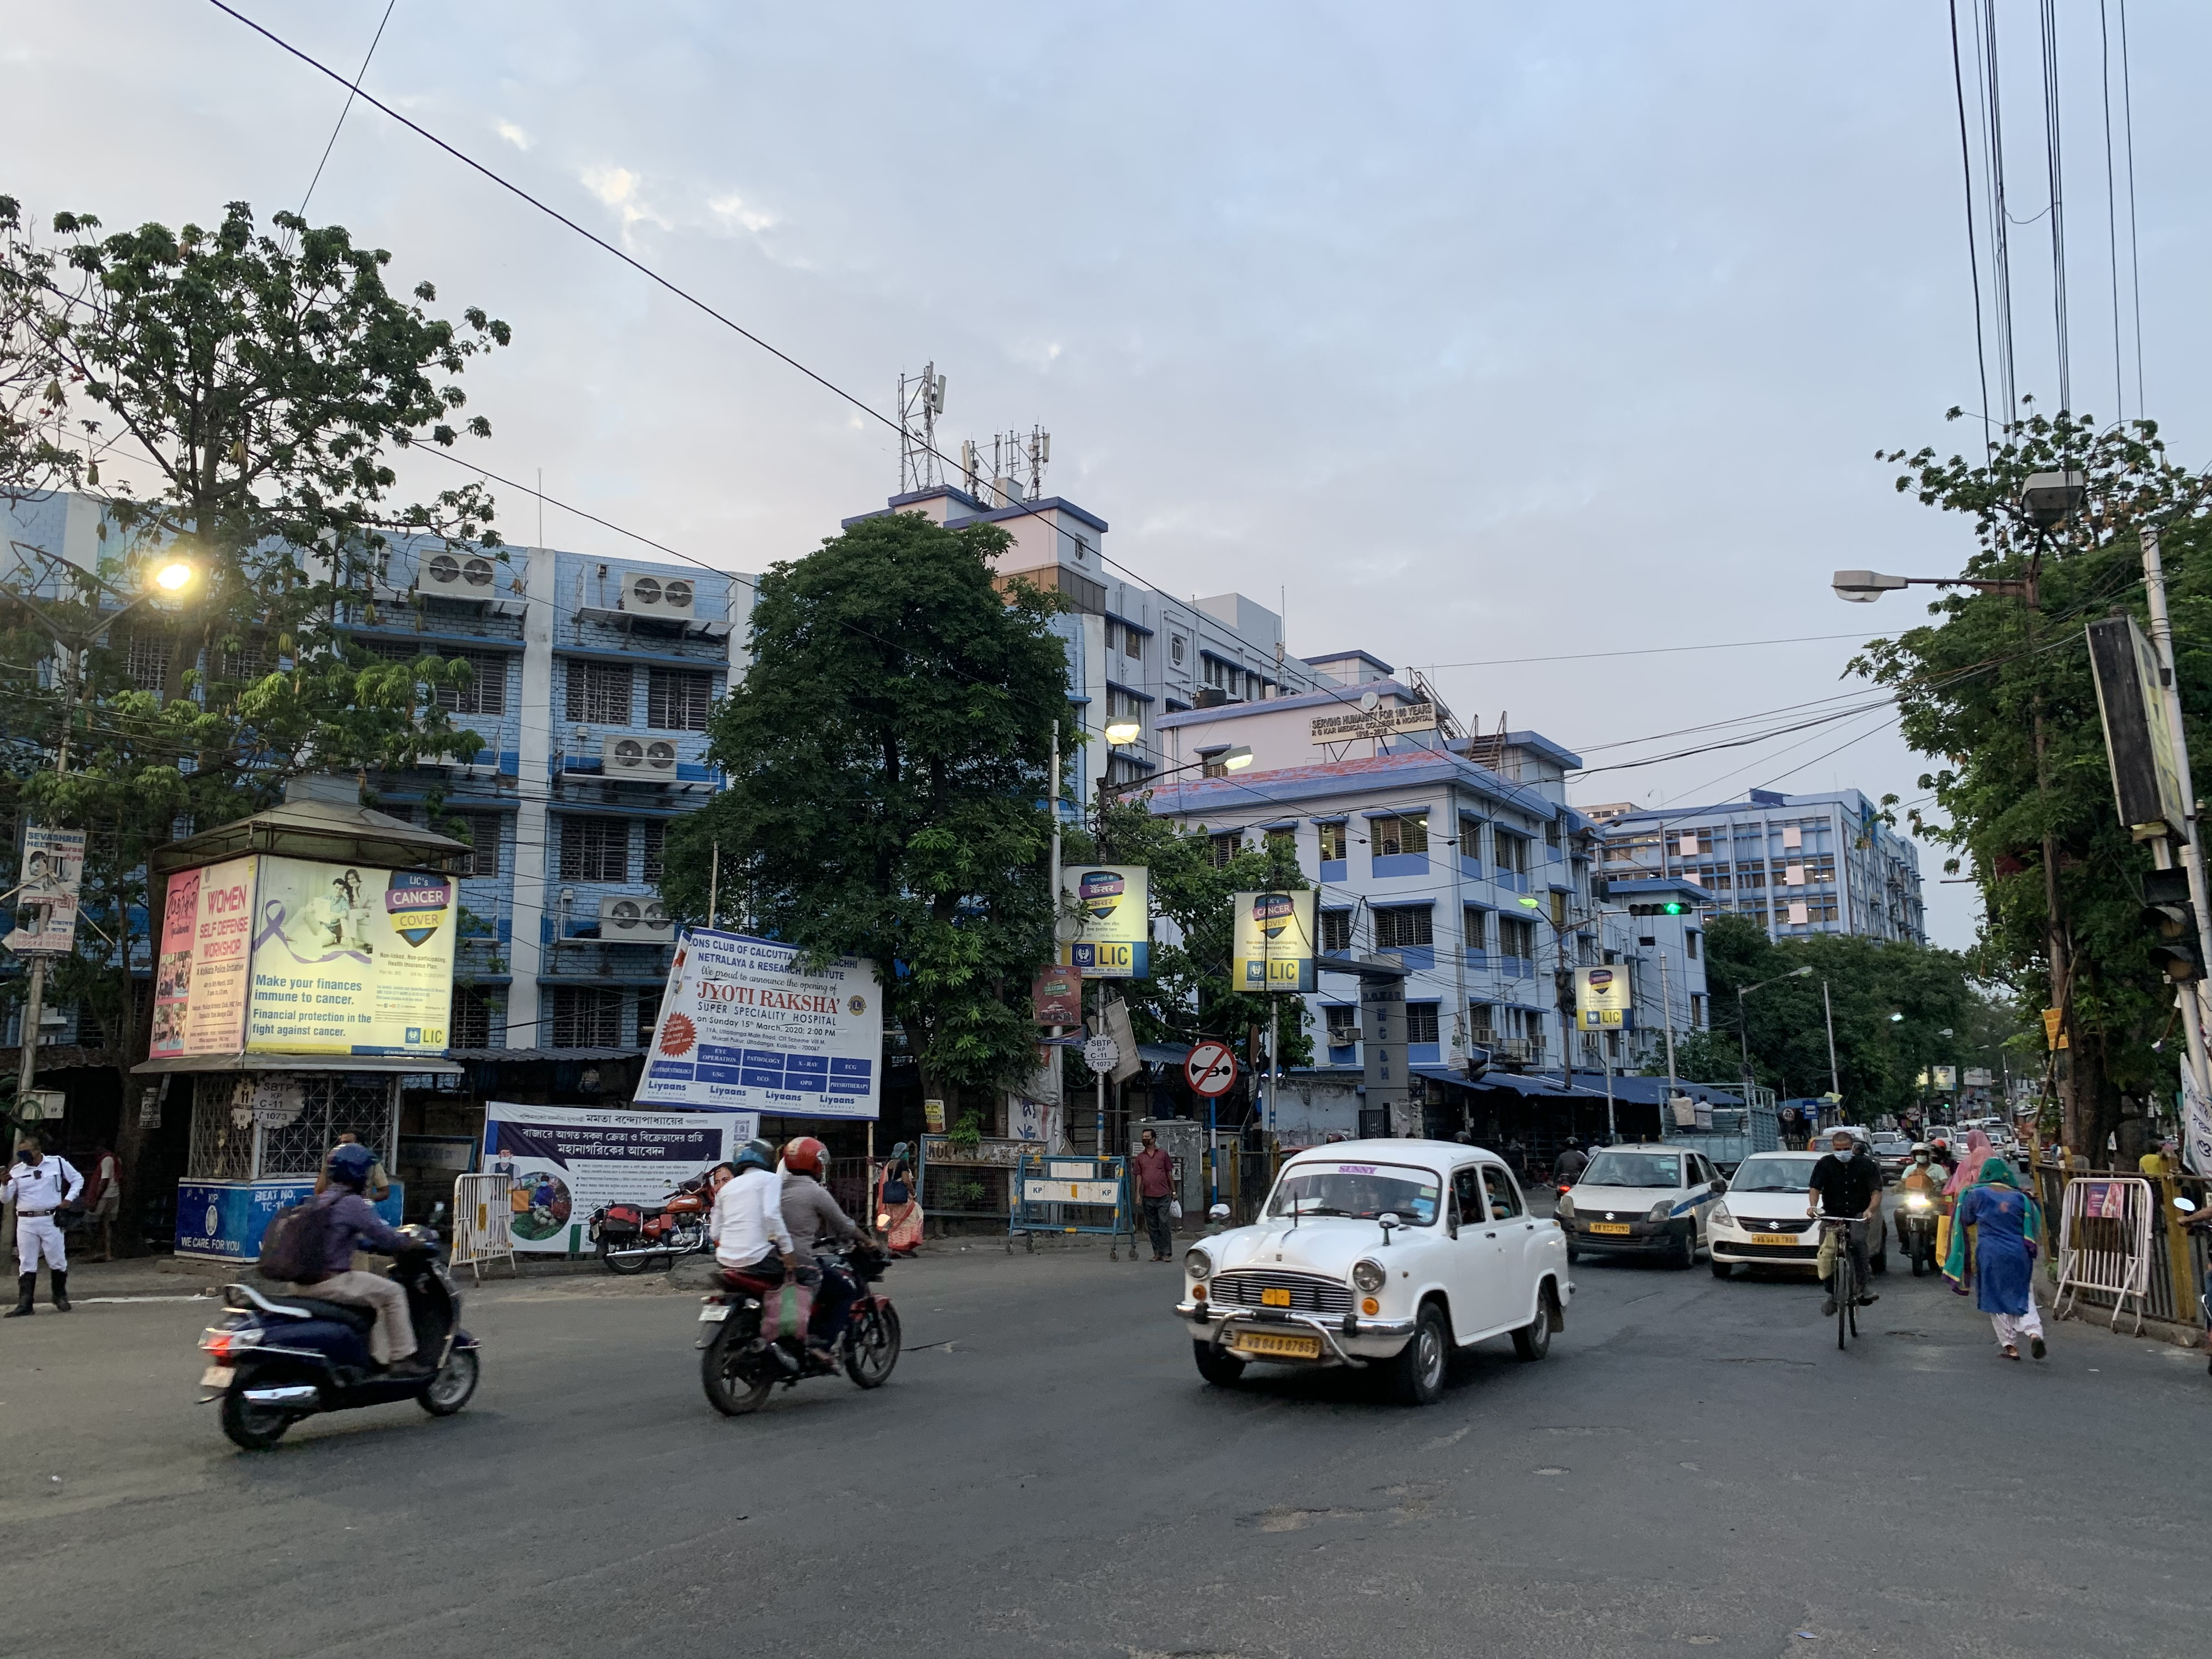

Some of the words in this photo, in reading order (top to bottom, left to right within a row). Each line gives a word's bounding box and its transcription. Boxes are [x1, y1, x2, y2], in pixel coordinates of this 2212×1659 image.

[1312, 724, 1338, 739] R G KAR
[1307, 711, 1345, 733] SERVING
[1335, 720, 1367, 737] MEDICAL
[1341, 708, 1380, 726] HUMANITY
[1364, 716, 1396, 730] COLLEGE
[1378, 706, 1396, 722] FOR
[1392, 703, 1410, 719] 100
[1401, 713, 1436, 726] HOSPITAL
[1407, 700, 1436, 718] YEARS
[23, 828, 85, 845] SEVASHREE
[408, 873, 432, 890] LIC
[1085, 878, 1116, 898] कैंसर
[196, 918, 218, 941] SELF
[203, 883, 251, 918] WOMEN
[216, 915, 252, 938] DEFENSE
[390, 886, 446, 909] CANCER
[394, 909, 442, 930] COVER
[1089, 896, 1115, 912] कवर
[1254, 901, 1293, 920] CANCER
[1258, 915, 1290, 933] COVER
[200, 936, 244, 963] WORKSHOP
[249, 1020, 277, 1040] fight
[255, 972, 290, 992] Make
[251, 1005, 298, 1020] Financial
[251, 984, 301, 1006] immune
[276, 1023, 313, 1038] against
[287, 978, 316, 992] your
[297, 990, 314, 1005] to
[296, 1008, 349, 1026] protection
[311, 1025, 347, 1039] cancer.
[312, 990, 355, 1007] cancer.
[316, 974, 364, 995] finances
[343, 1013, 358, 1025] in
[357, 1011, 376, 1025] the
[419, 1024, 447, 1045] LIC
[693, 1014, 709, 1026] on
[698, 962, 716, 979] We
[694, 998, 729, 1017] SUPER
[695, 951, 748, 972] NETRALAYA
[709, 938, 738, 955] CLUB
[707, 1013, 742, 1029] Sunday
[711, 968, 740, 983] proud
[696, 978, 760, 1009] JYOTI
[733, 942, 752, 957] OF
[737, 971, 752, 984] to
[740, 1017, 755, 1031] 15th
[745, 958, 758, 973] &
[730, 1004, 790, 1023] SPECIALITY
[746, 973, 788, 989] announce
[753, 1020, 783, 1033] March,
[748, 943, 795, 963] CALCUTTA
[757, 960, 803, 977] RESEARCH
[783, 976, 803, 990] the
[755, 987, 838, 1017] RAKSHA
[784, 1023, 837, 1038] 2020:2:00PM
[797, 980, 831, 997] opening
[790, 1011, 839, 1030] HOSPITAL
[828, 980, 841, 998] of
[1088, 1036, 1114, 1048] SBTP
[1095, 939, 1135, 969] LIC
[1268, 957, 1297, 983] LIC
[1359, 986, 1404, 1005] B.G.KAR
[645, 1078, 689, 1093] Liyaans
[705, 1082, 751, 1100] Liyaans
[761, 1087, 805, 1104] Liyaans
[582, 1108, 614, 1127] মমতা
[613, 1110, 645, 1126] বন্দ্যো
[640, 1112, 686, 1129] পাধ্যায়ের
[520, 1126, 556, 1141] বাজারে
[552, 1127, 583, 1142] আগত
[577, 1128, 605, 1144] সকল
[603, 1130, 633, 1144] ক্রেতা
[628, 1130, 640, 1145] ও
[633, 1126, 687, 1145] বিক্রেতাদের
[684, 1126, 708, 1145] প্রতি
[555, 1137, 627, 1158] মহানাগরিকের
[624, 1140, 667, 1159] আবেদন
[178, 1235, 193, 1249] WE
[190, 1231, 212, 1250] CARE,
[209, 1237, 228, 1254] FOR
[224, 1237, 243, 1253] YOU